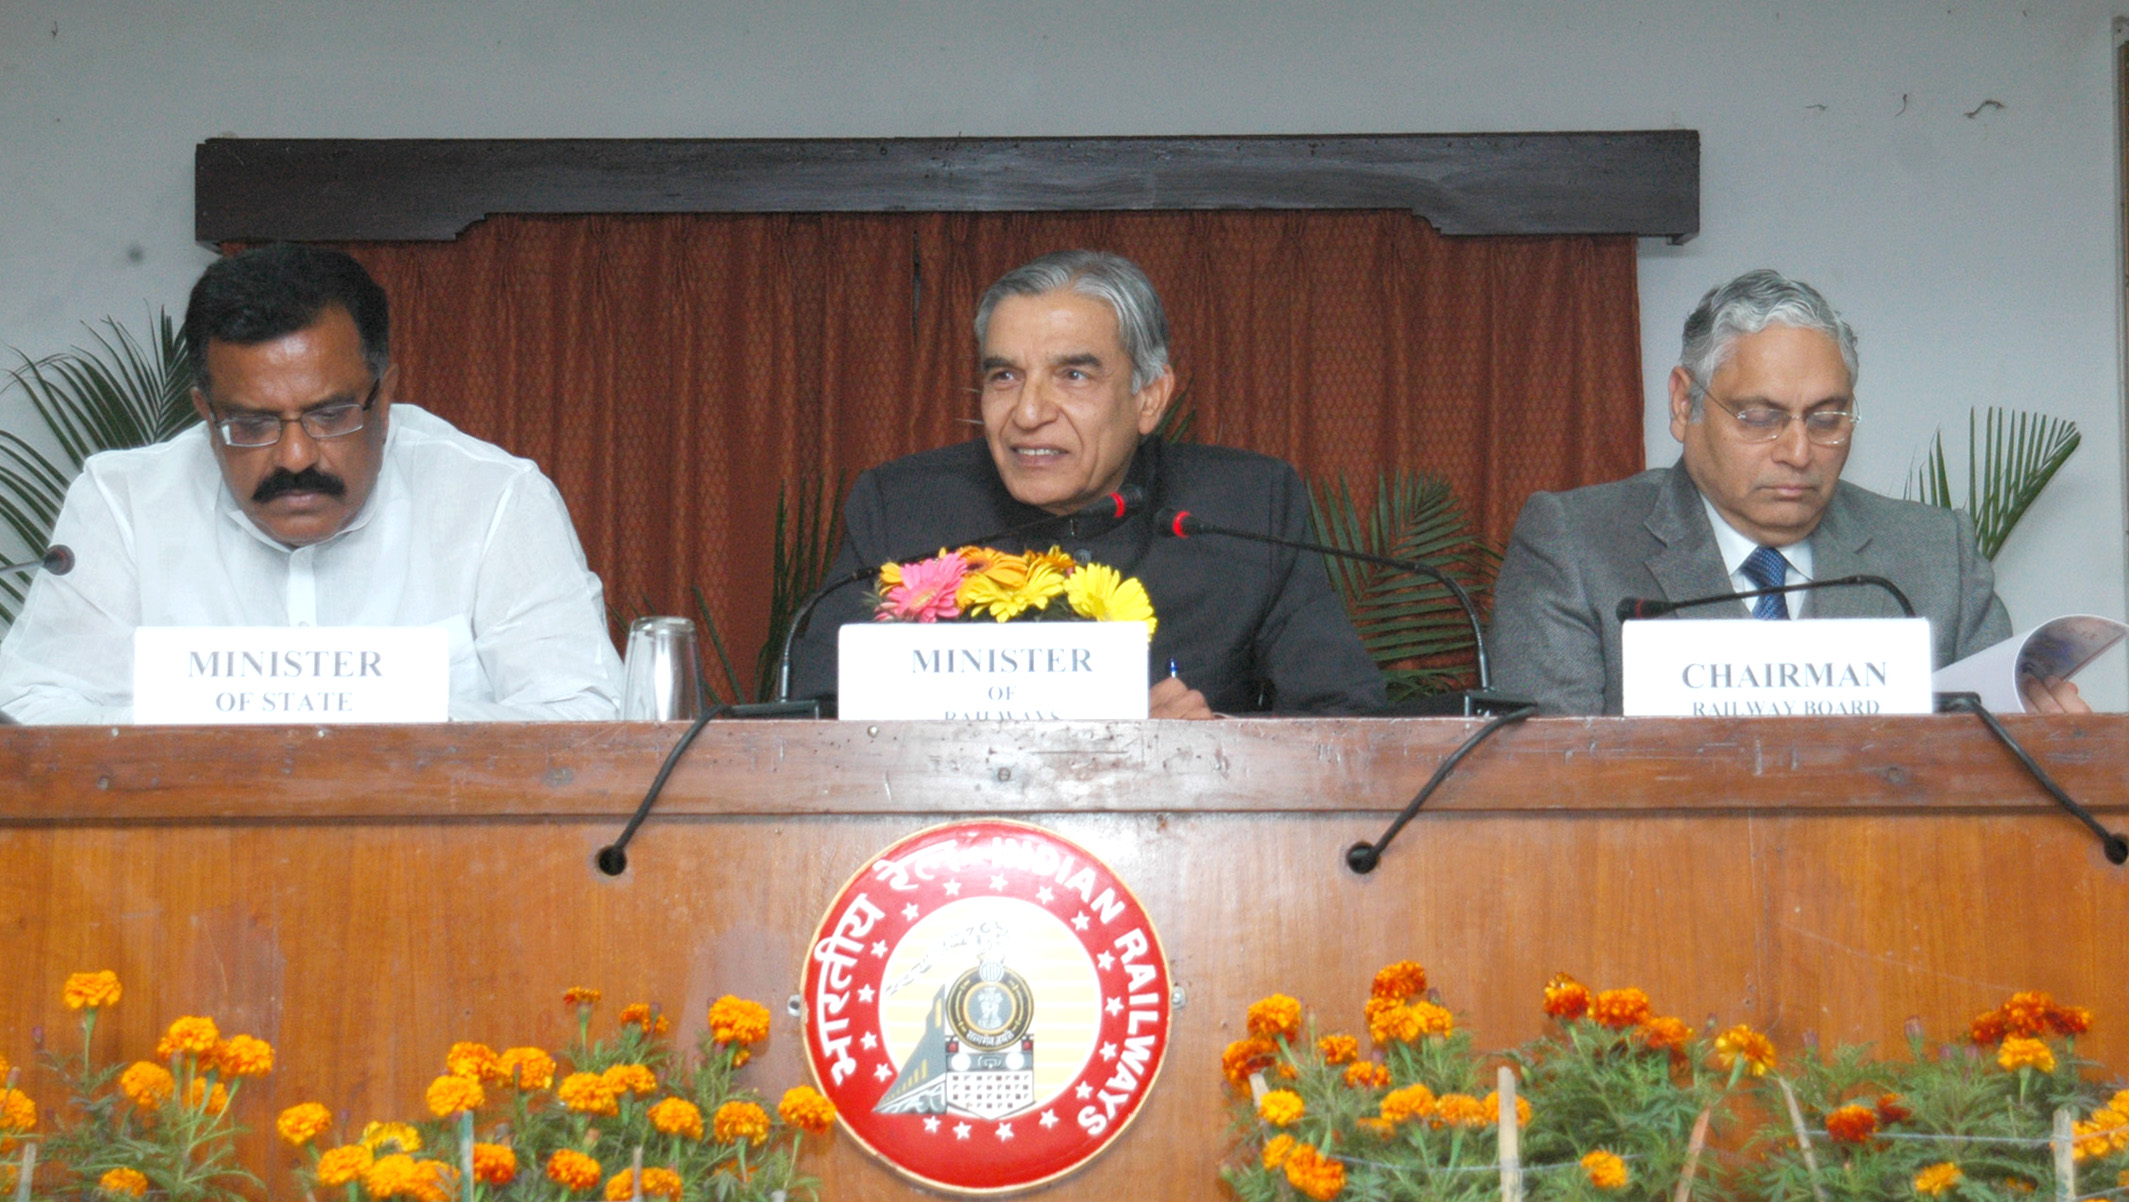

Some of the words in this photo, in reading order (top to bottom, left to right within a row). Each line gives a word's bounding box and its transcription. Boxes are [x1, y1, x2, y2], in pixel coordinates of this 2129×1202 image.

[213, 691, 251, 716] OF
[184, 647, 385, 681] MINISTER
[259, 687, 357, 716] STATE
[985, 683, 1017, 704] OF
[910, 647, 1093, 677] MINISTER
[1689, 695, 1799, 721] RAILWAY
[1676, 655, 1891, 700] CHAIRMAN
[1799, 693, 1884, 720] BOARD
[871, 838, 965, 901] रेल
[991, 833, 1129, 927] INDIAN
[811, 889, 889, 1087] भारतीय
[1073, 924, 1160, 1142] RAILWAYS